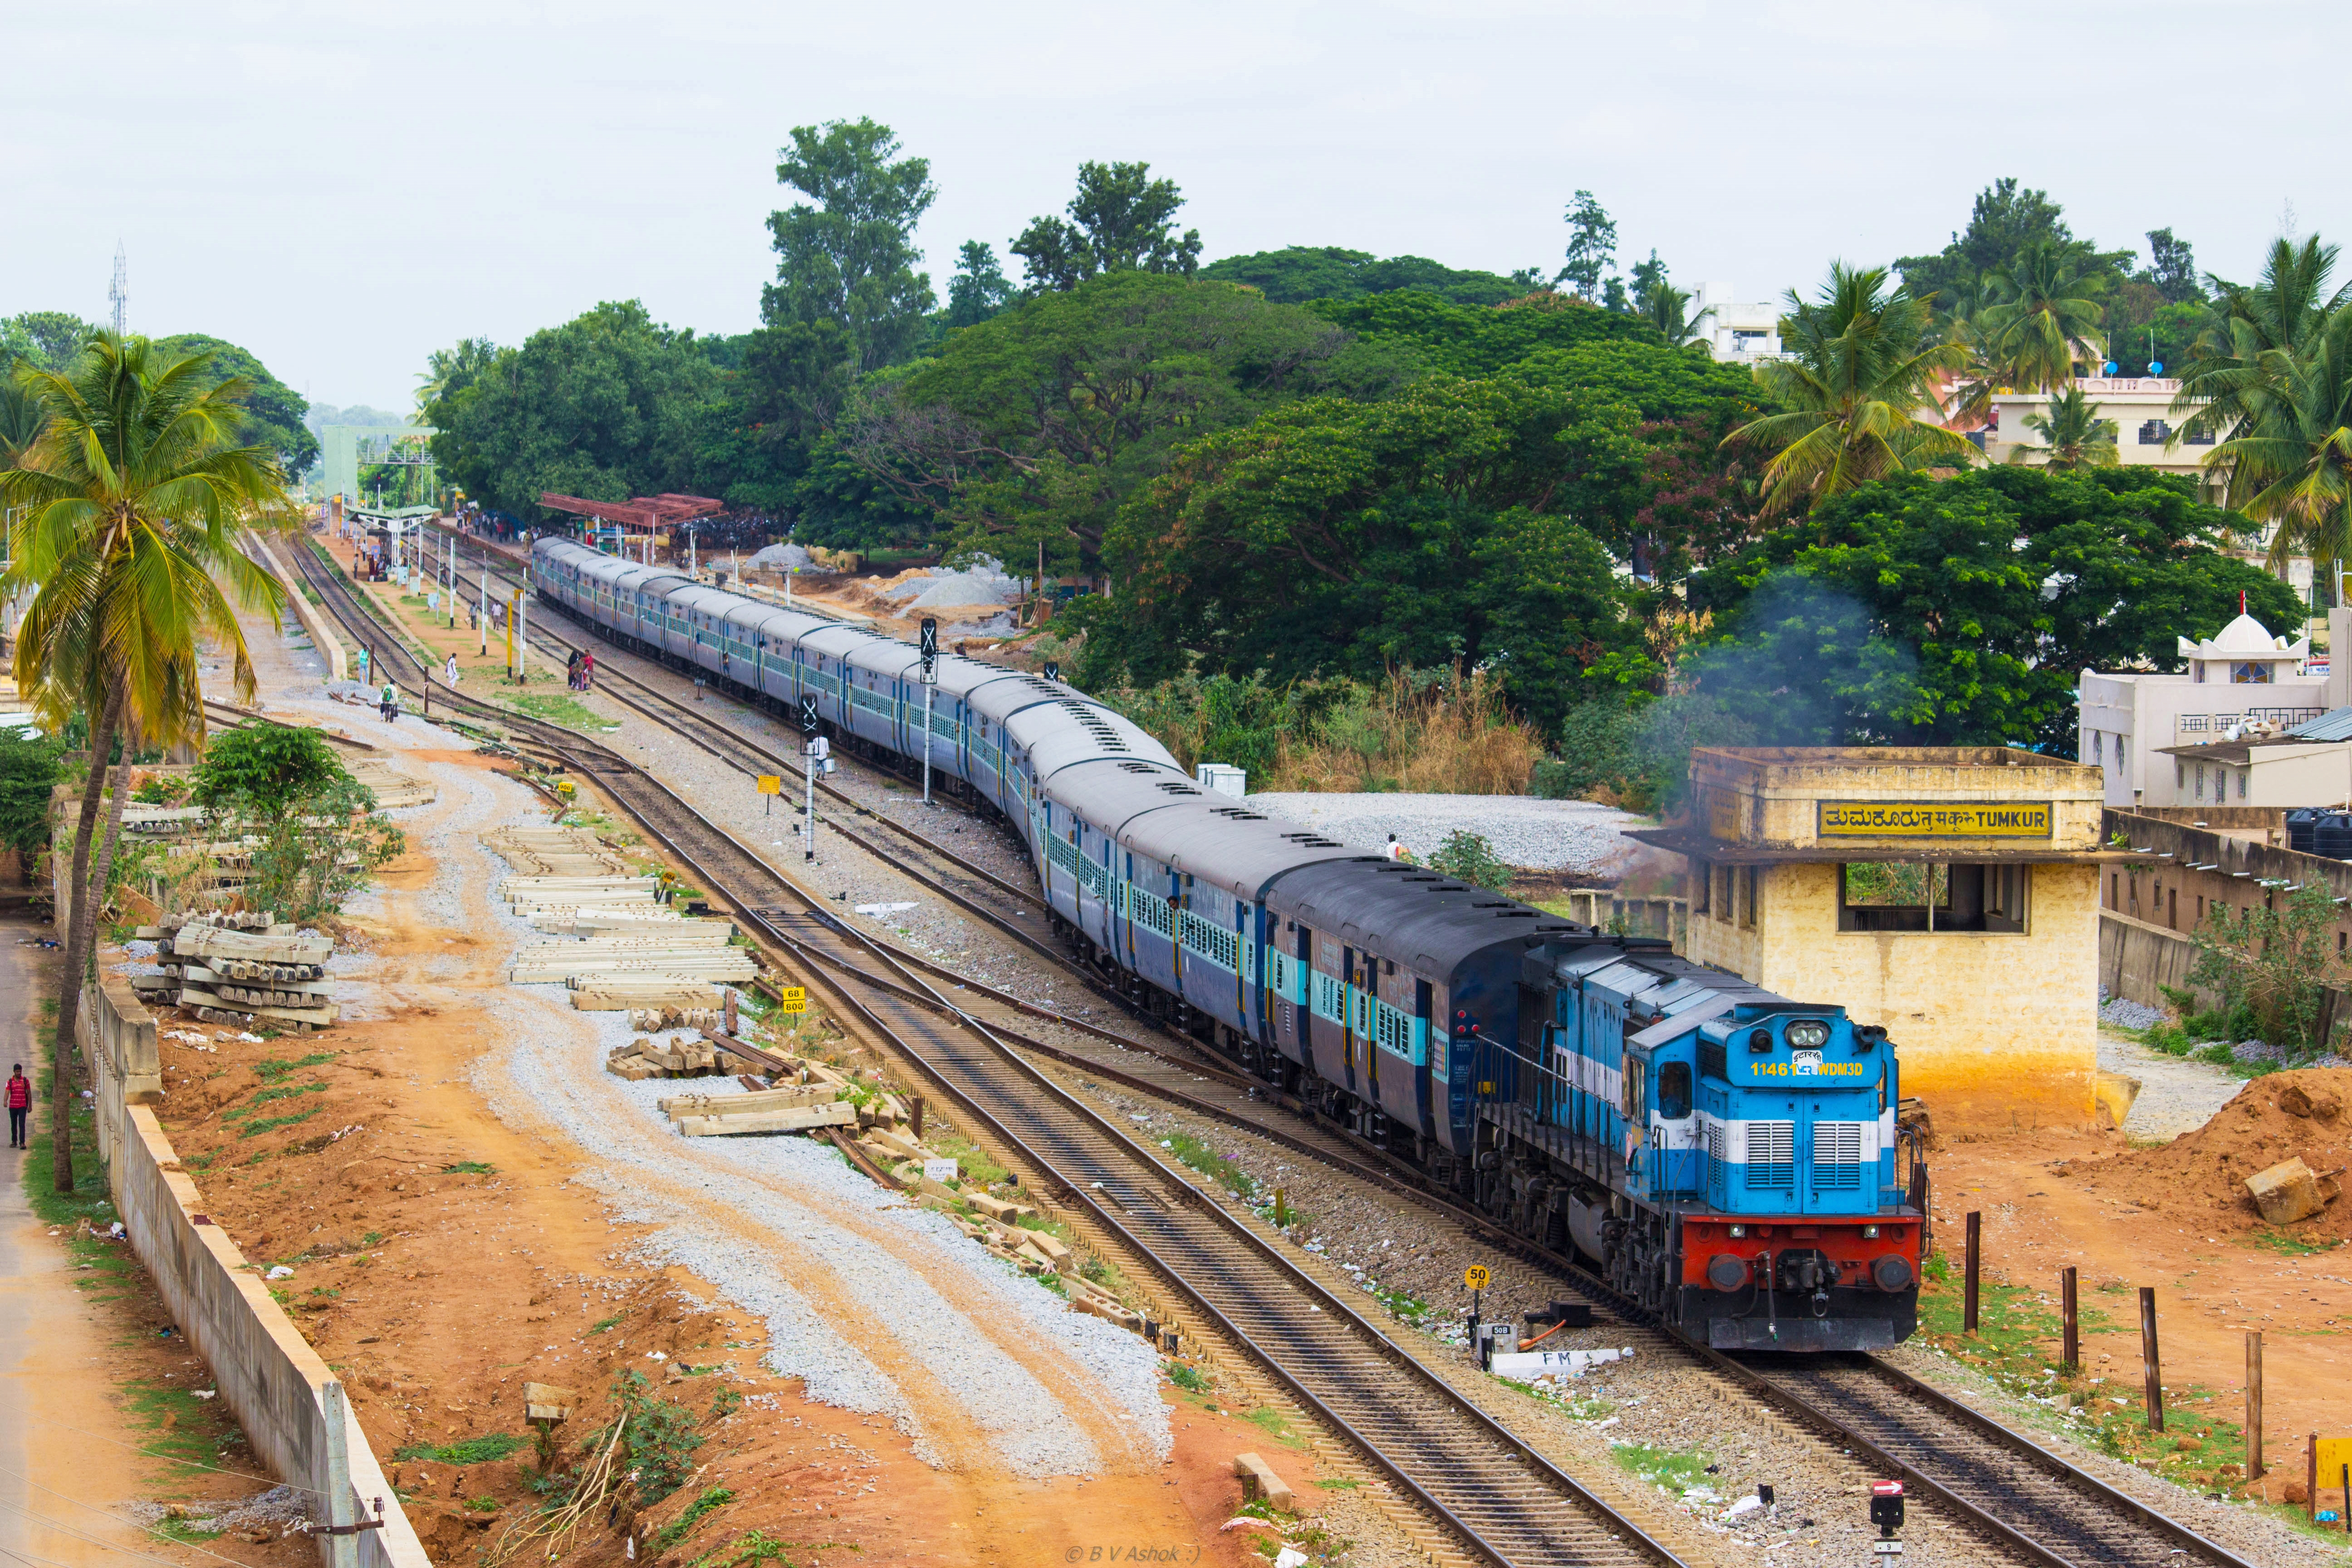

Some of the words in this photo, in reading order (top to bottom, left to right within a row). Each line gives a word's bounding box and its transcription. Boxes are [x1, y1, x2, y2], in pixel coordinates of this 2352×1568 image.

[1823, 806, 1923, 828] ತುಮಕೂರು
[1921, 807, 1975, 833] तुमकूरु
[1973, 808, 2047, 831] TUMKUR
[1792, 1048, 1824, 1064] इटारसी
[1748, 1060, 1799, 1078] 11461
[1815, 1058, 1864, 1079] WDM3D